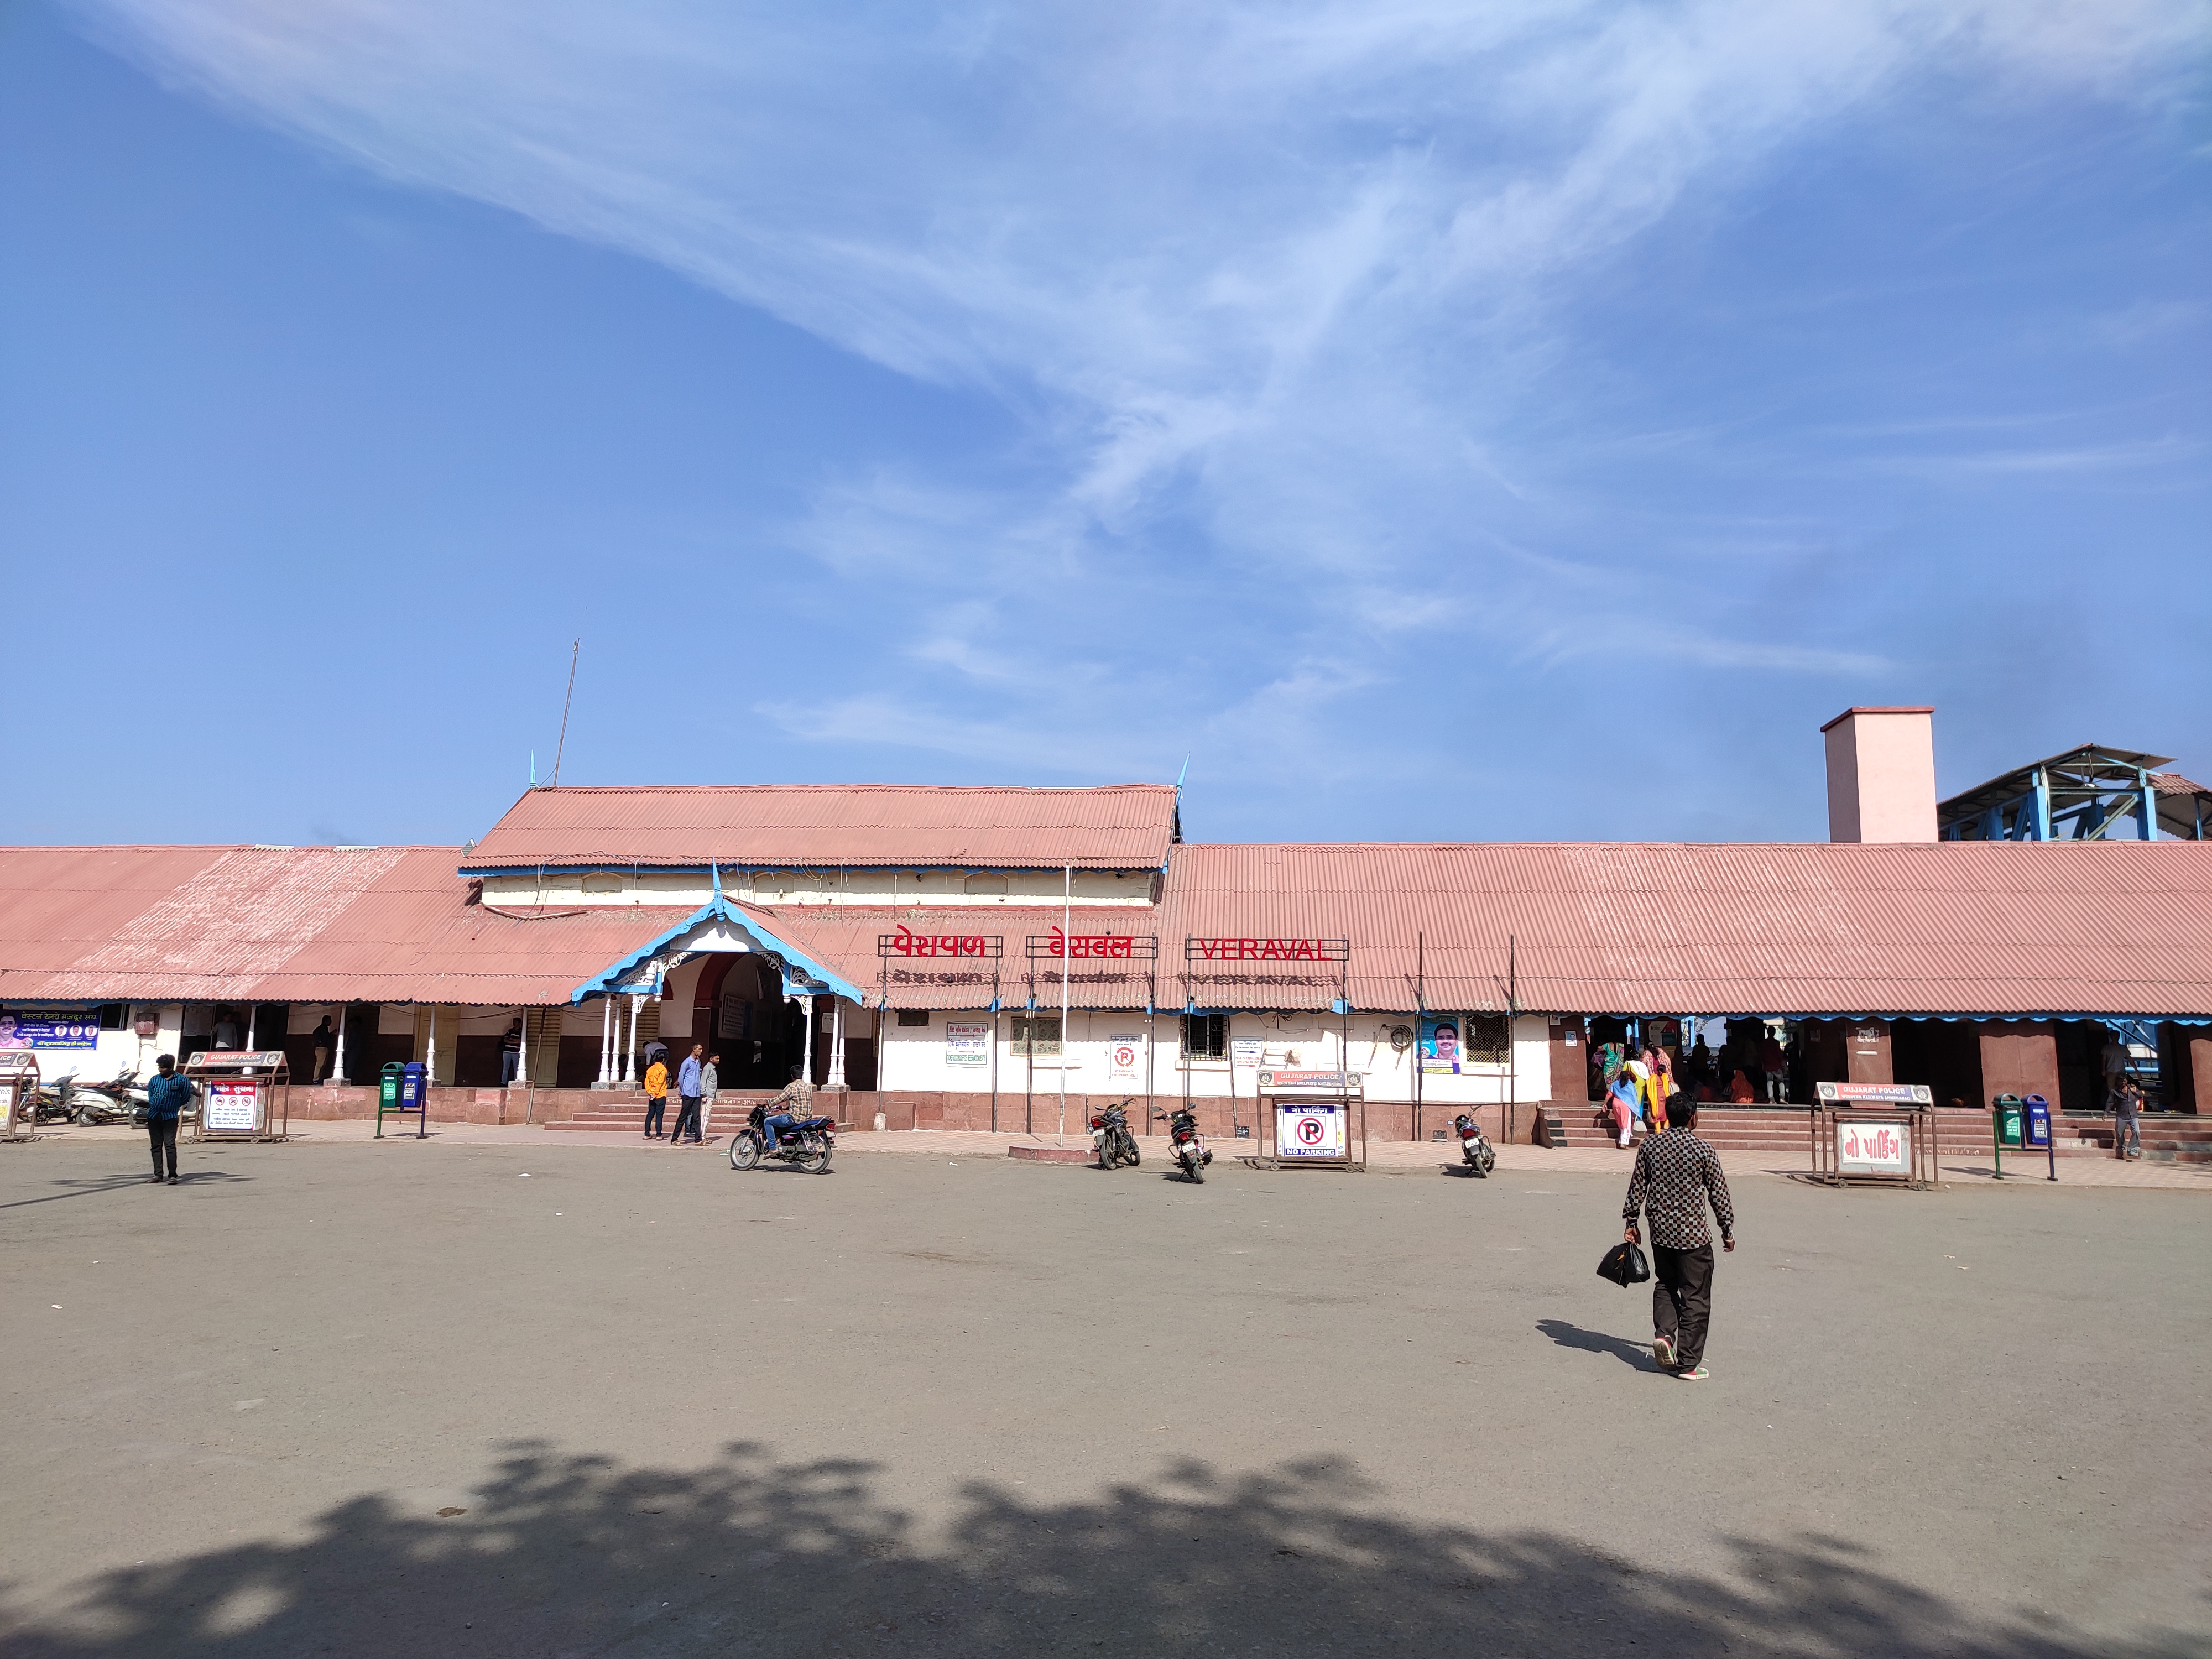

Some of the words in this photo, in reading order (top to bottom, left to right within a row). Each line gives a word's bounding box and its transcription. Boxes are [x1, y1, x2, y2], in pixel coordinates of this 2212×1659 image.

[877, 924, 1001, 958] વેરાવળ
[1044, 924, 1136, 957] वेरावल
[1197, 939, 1334, 960] VERAVAL
[19, 1009, 44, 1020] वेस्टर्न
[43, 1010, 60, 1020] रेलवे
[59, 1011, 83, 1022] मजदूर
[84, 1011, 99, 1020] સંઘ
[208, 1053, 239, 1060] GUJARAT
[237, 1053, 263, 1060] POLICE
[1278, 1071, 1313, 1081] GUJARAT
[1312, 1072, 1342, 1080] POLICE
[212, 1080, 232, 1094] જાહેર
[231, 1084, 254, 1094] સુયના
[1841, 1086, 1877, 1094] GUJARAT
[1876, 1085, 1906, 1094] POLICE
[1287, 1103, 1302, 1114] नो
[1301, 1106, 1330, 1114] पार्किंग
[1843, 1127, 1861, 1159] નો
[1862, 1126, 1902, 1162] પાર્કિગ
[1284, 1147, 1298, 1155] NO
[1298, 1147, 1336, 1156] PARKING